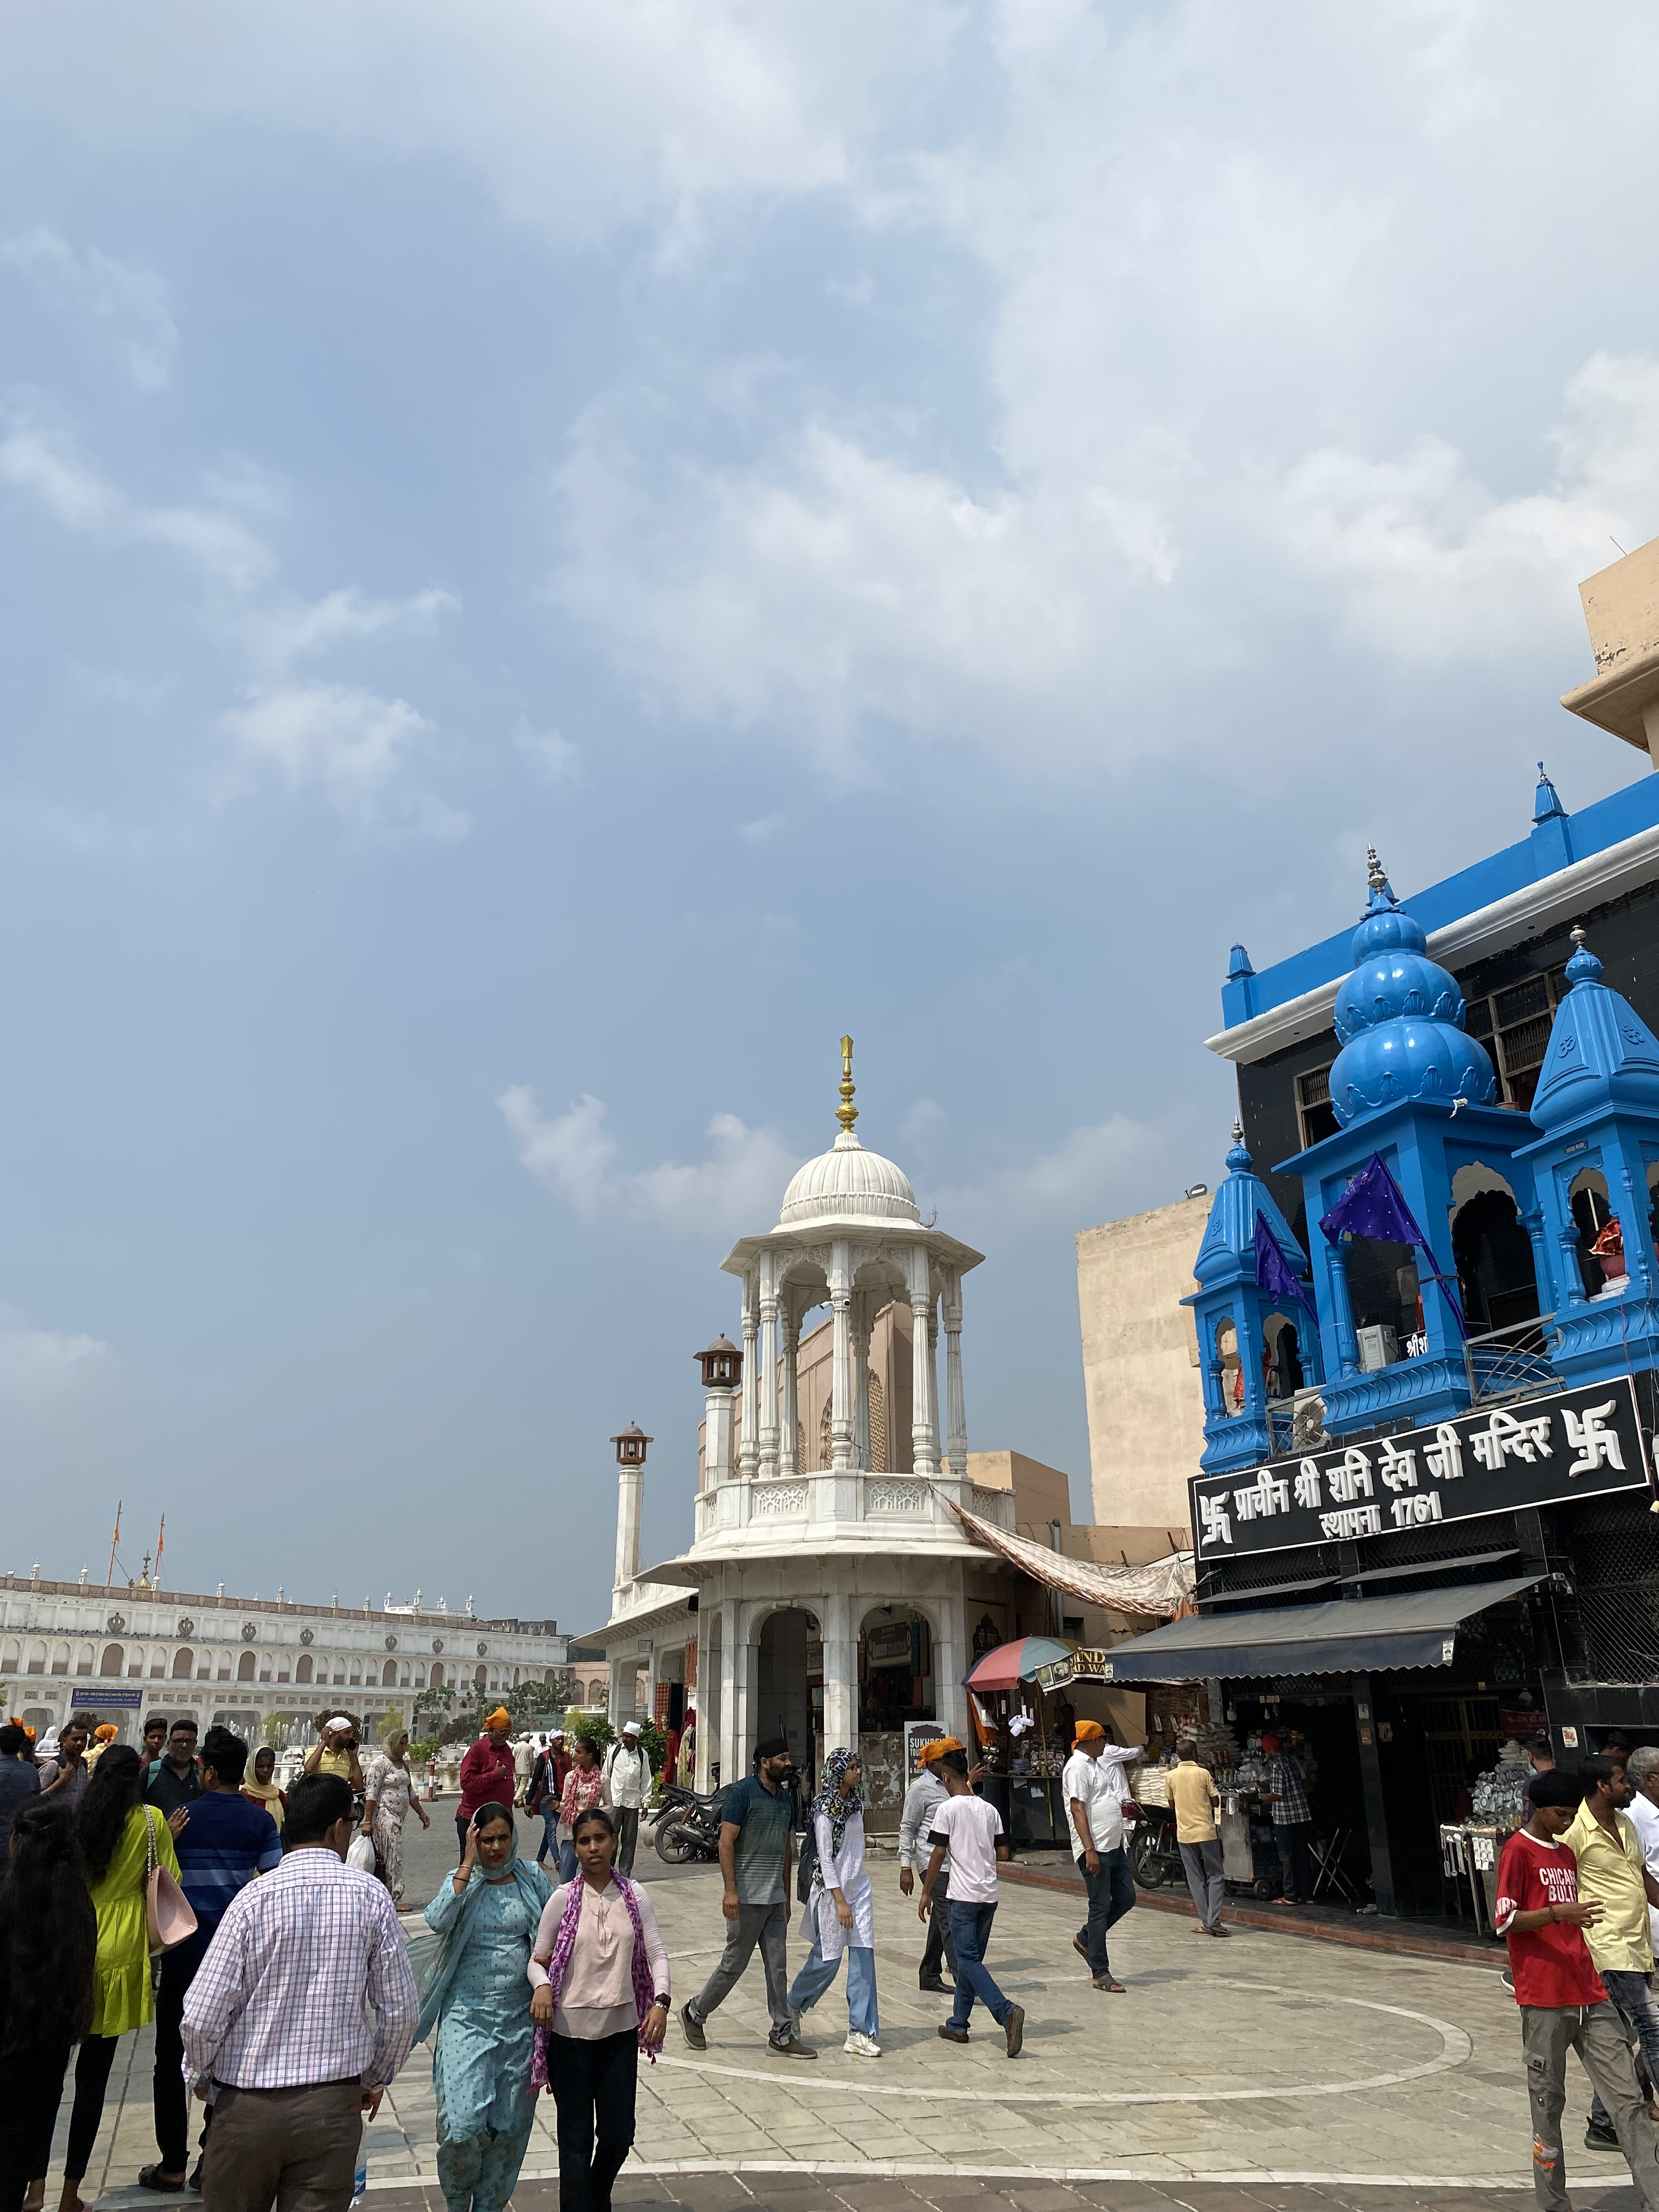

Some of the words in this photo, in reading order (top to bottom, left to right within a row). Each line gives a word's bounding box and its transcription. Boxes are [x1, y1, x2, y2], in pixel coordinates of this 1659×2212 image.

[1402, 1331, 1420, 1359] श्री
[1231, 1465, 1294, 1525] प्राचीन
[1292, 1454, 1327, 1514] श्री
[1312, 1499, 1386, 1542] स्‍थापना
[1322, 1443, 1379, 1506] शनि
[1372, 1438, 1422, 1496] देव
[1385, 1485, 1448, 1530] 1761
[1419, 1420, 1469, 1484] जी
[1465, 1408, 1559, 1477] मन्दिर
[977, 1626, 987, 1650] ਵੀ੍
[985, 1628, 1000, 1649] ਸੇਵਾ
[909, 1748, 919, 1757] TOU
[908, 1736, 925, 1748] SUK
[1537, 1867, 1572, 1886] CHICA
[1545, 1886, 1578, 1903] BULLS